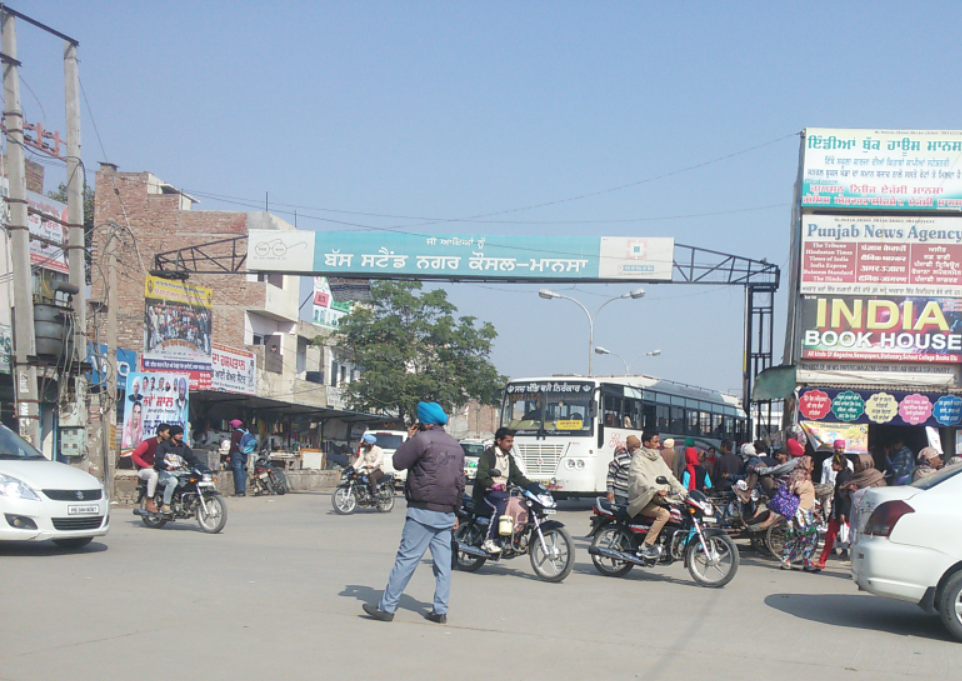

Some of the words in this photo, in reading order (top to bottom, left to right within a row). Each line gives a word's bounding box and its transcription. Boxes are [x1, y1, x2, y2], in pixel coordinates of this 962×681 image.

[807, 133, 859, 152] ਇੰਡੀਆਂ
[859, 134, 886, 154] ਥੱਕ
[885, 135, 927, 157] ਹਾਊਸ
[925, 139, 962, 155] ਮਾਨਸ
[803, 219, 863, 242] Punjab
[861, 223, 906, 243] News
[905, 224, 962, 244] Agency
[320, 244, 357, 273] ਬੱਸ
[353, 243, 411, 273] ਸਟੈਂਡ
[408, 253, 465, 274] ਨਗਰ
[463, 250, 593, 277] ਕੌਸਲ-ਮਾਨਸਾ
[810, 297, 955, 331] INDIA
[802, 327, 878, 350] BOOK
[877, 331, 962, 353] HOUSE